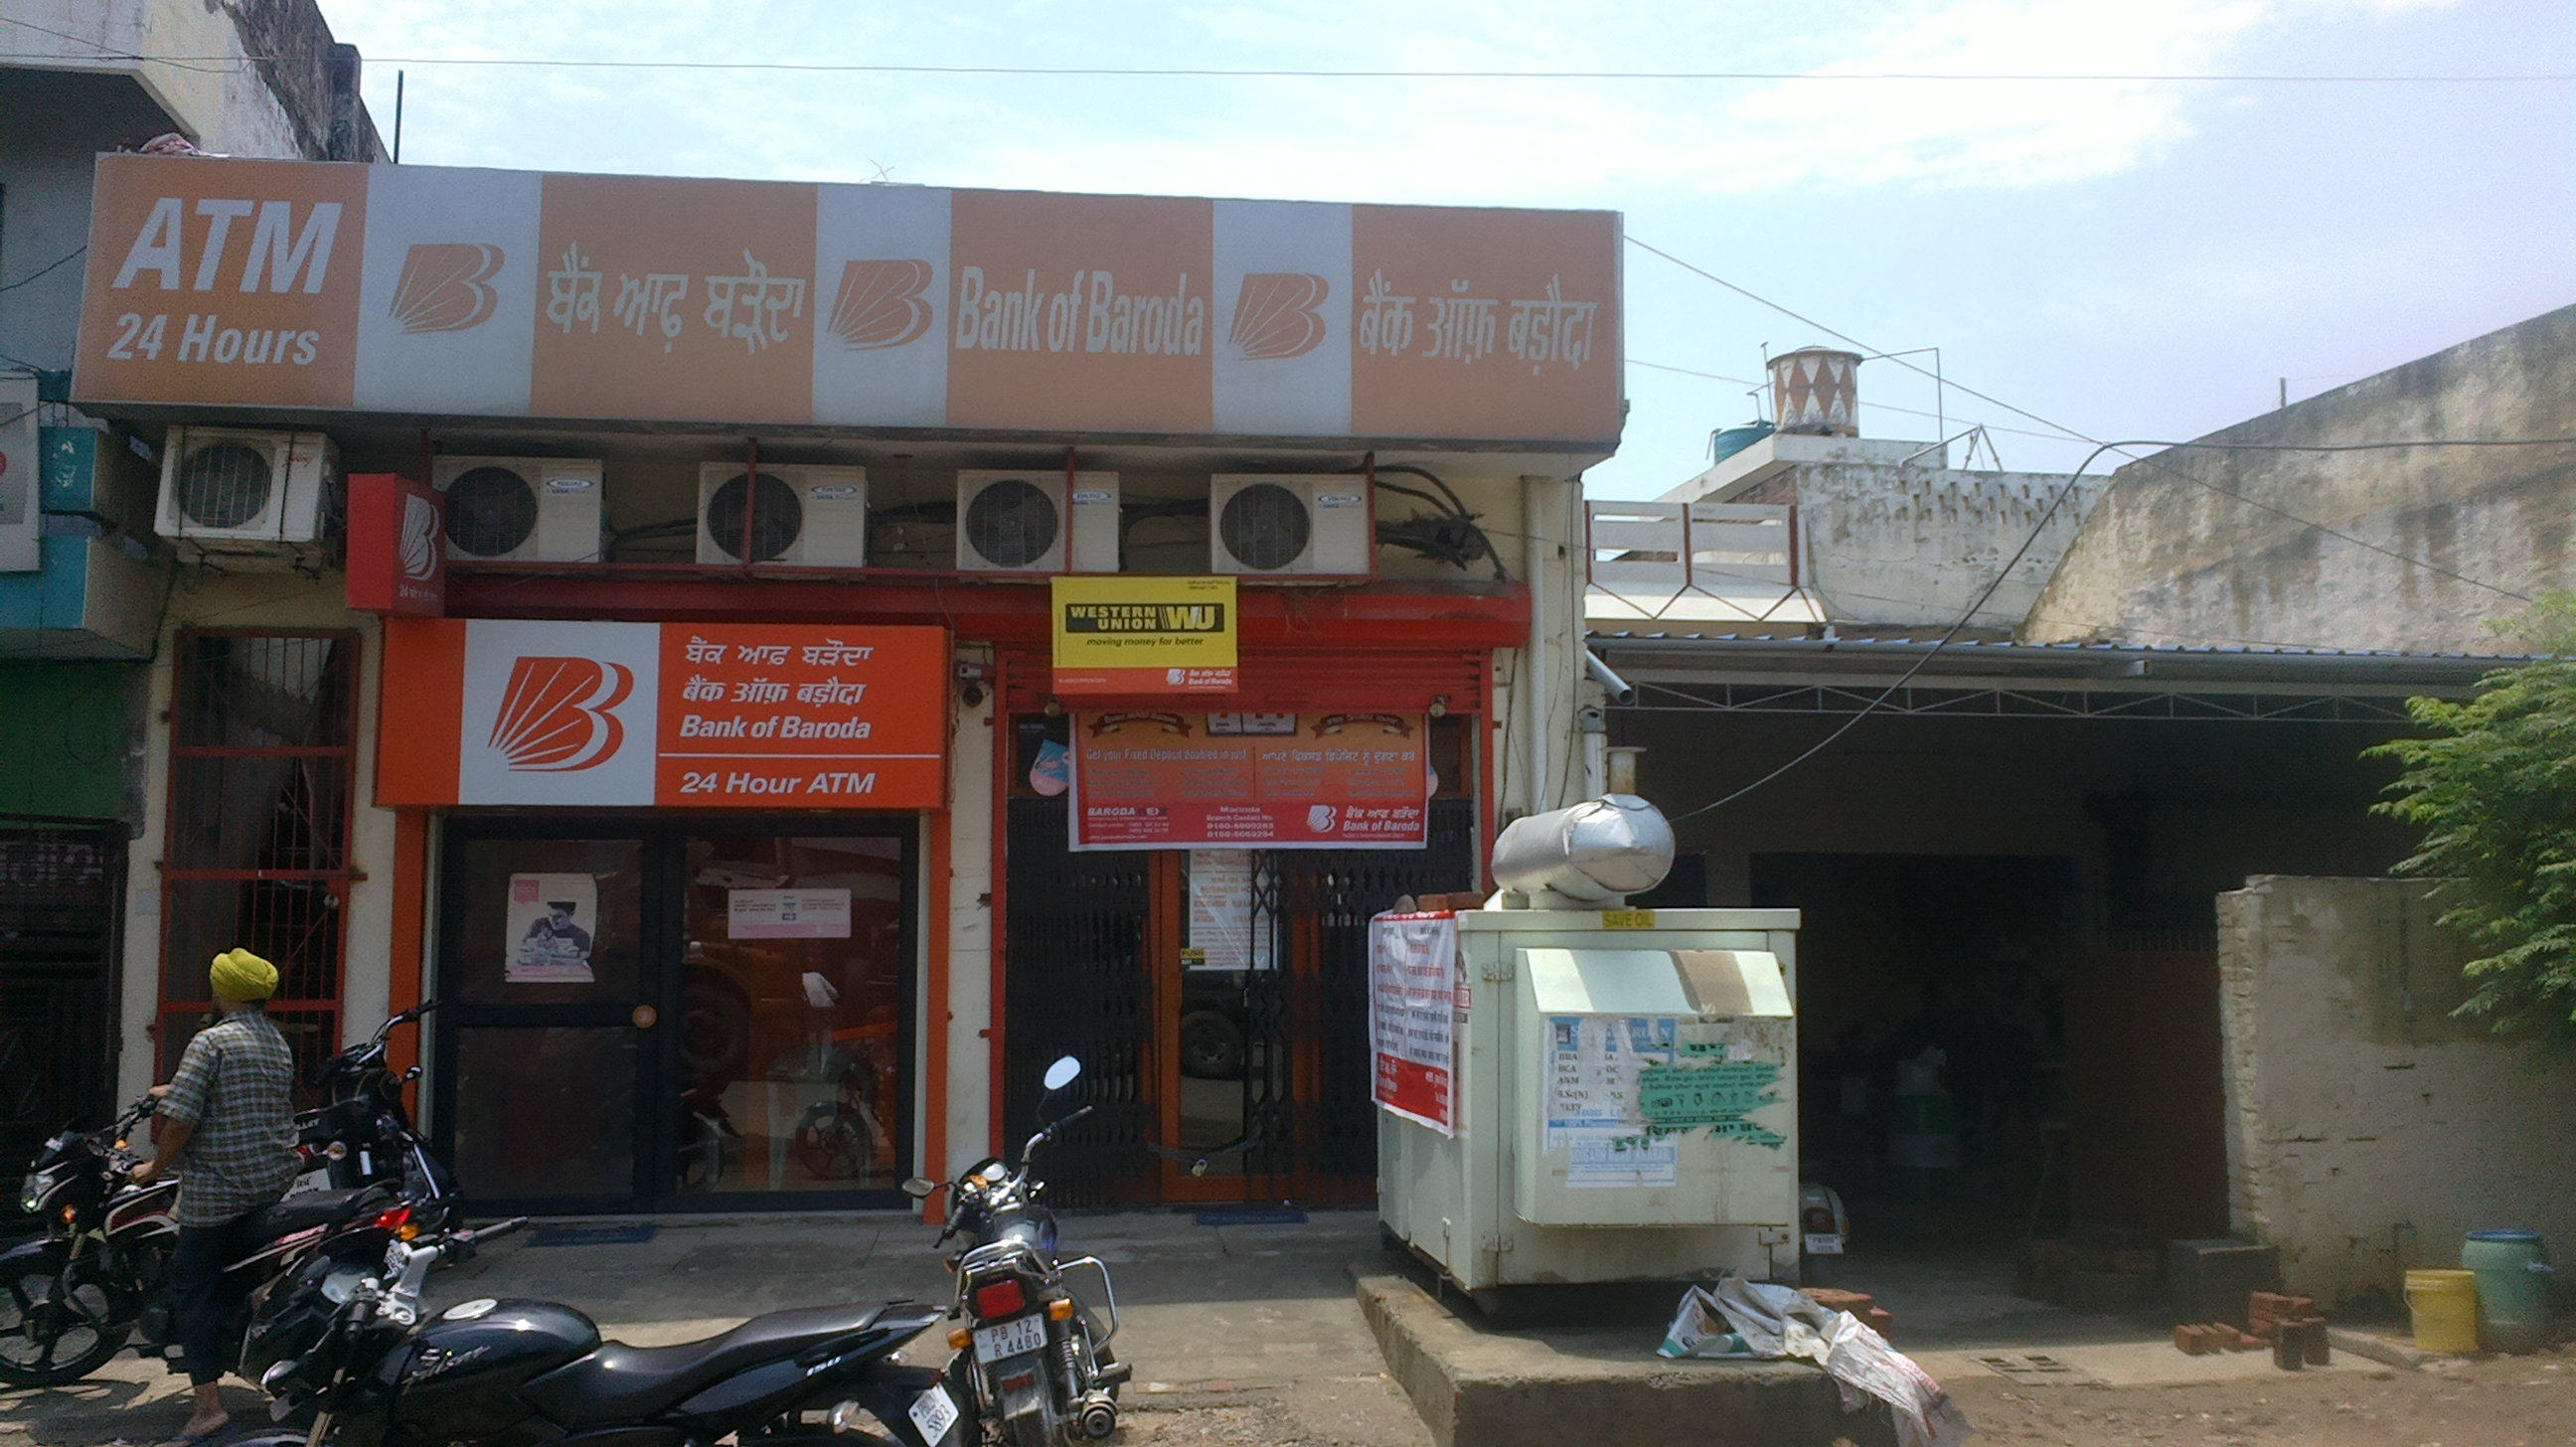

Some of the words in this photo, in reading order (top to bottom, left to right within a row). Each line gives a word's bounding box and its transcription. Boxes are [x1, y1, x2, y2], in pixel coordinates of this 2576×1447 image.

[94, 185, 352, 305] ATM
[100, 303, 175, 374] 24
[175, 309, 324, 374] Hours
[534, 235, 608, 342] ਬੈਂਕ
[608, 262, 696, 360] ਆਫ਼
[697, 241, 811, 363] ਬੜੌਦਾ
[945, 255, 1051, 362] Bank
[1043, 262, 1089, 358] of
[1081, 262, 1208, 364] Baroda
[1349, 259, 1421, 370] बैंक
[1416, 271, 1503, 377] ऑफ़
[1500, 265, 1603, 393] बड़ौदा
[1066, 603, 1158, 619] WESTERN
[1092, 617, 1160, 632] UNION
[1162, 605, 1221, 631] WU
[675, 631, 732, 669] ਬੈਂਕ
[730, 641, 795, 671] ਆਫ਼
[796, 635, 878, 675] ਬੜੌਦਾ
[676, 669, 732, 711] बैंक
[726, 674, 794, 712] ऑफ़
[793, 671, 874, 713] बड़ौदा
[672, 709, 752, 745] Bank
[748, 711, 781, 738] of
[775, 710, 880, 744] Baroda
[675, 762, 724, 799] 24
[722, 764, 808, 801] Hour
[800, 766, 880, 798] ATM
[982, 1323, 1012, 1347] PB
[986, 1332, 1047, 1360] R4480
[1013, 1314, 1040, 1337] 12